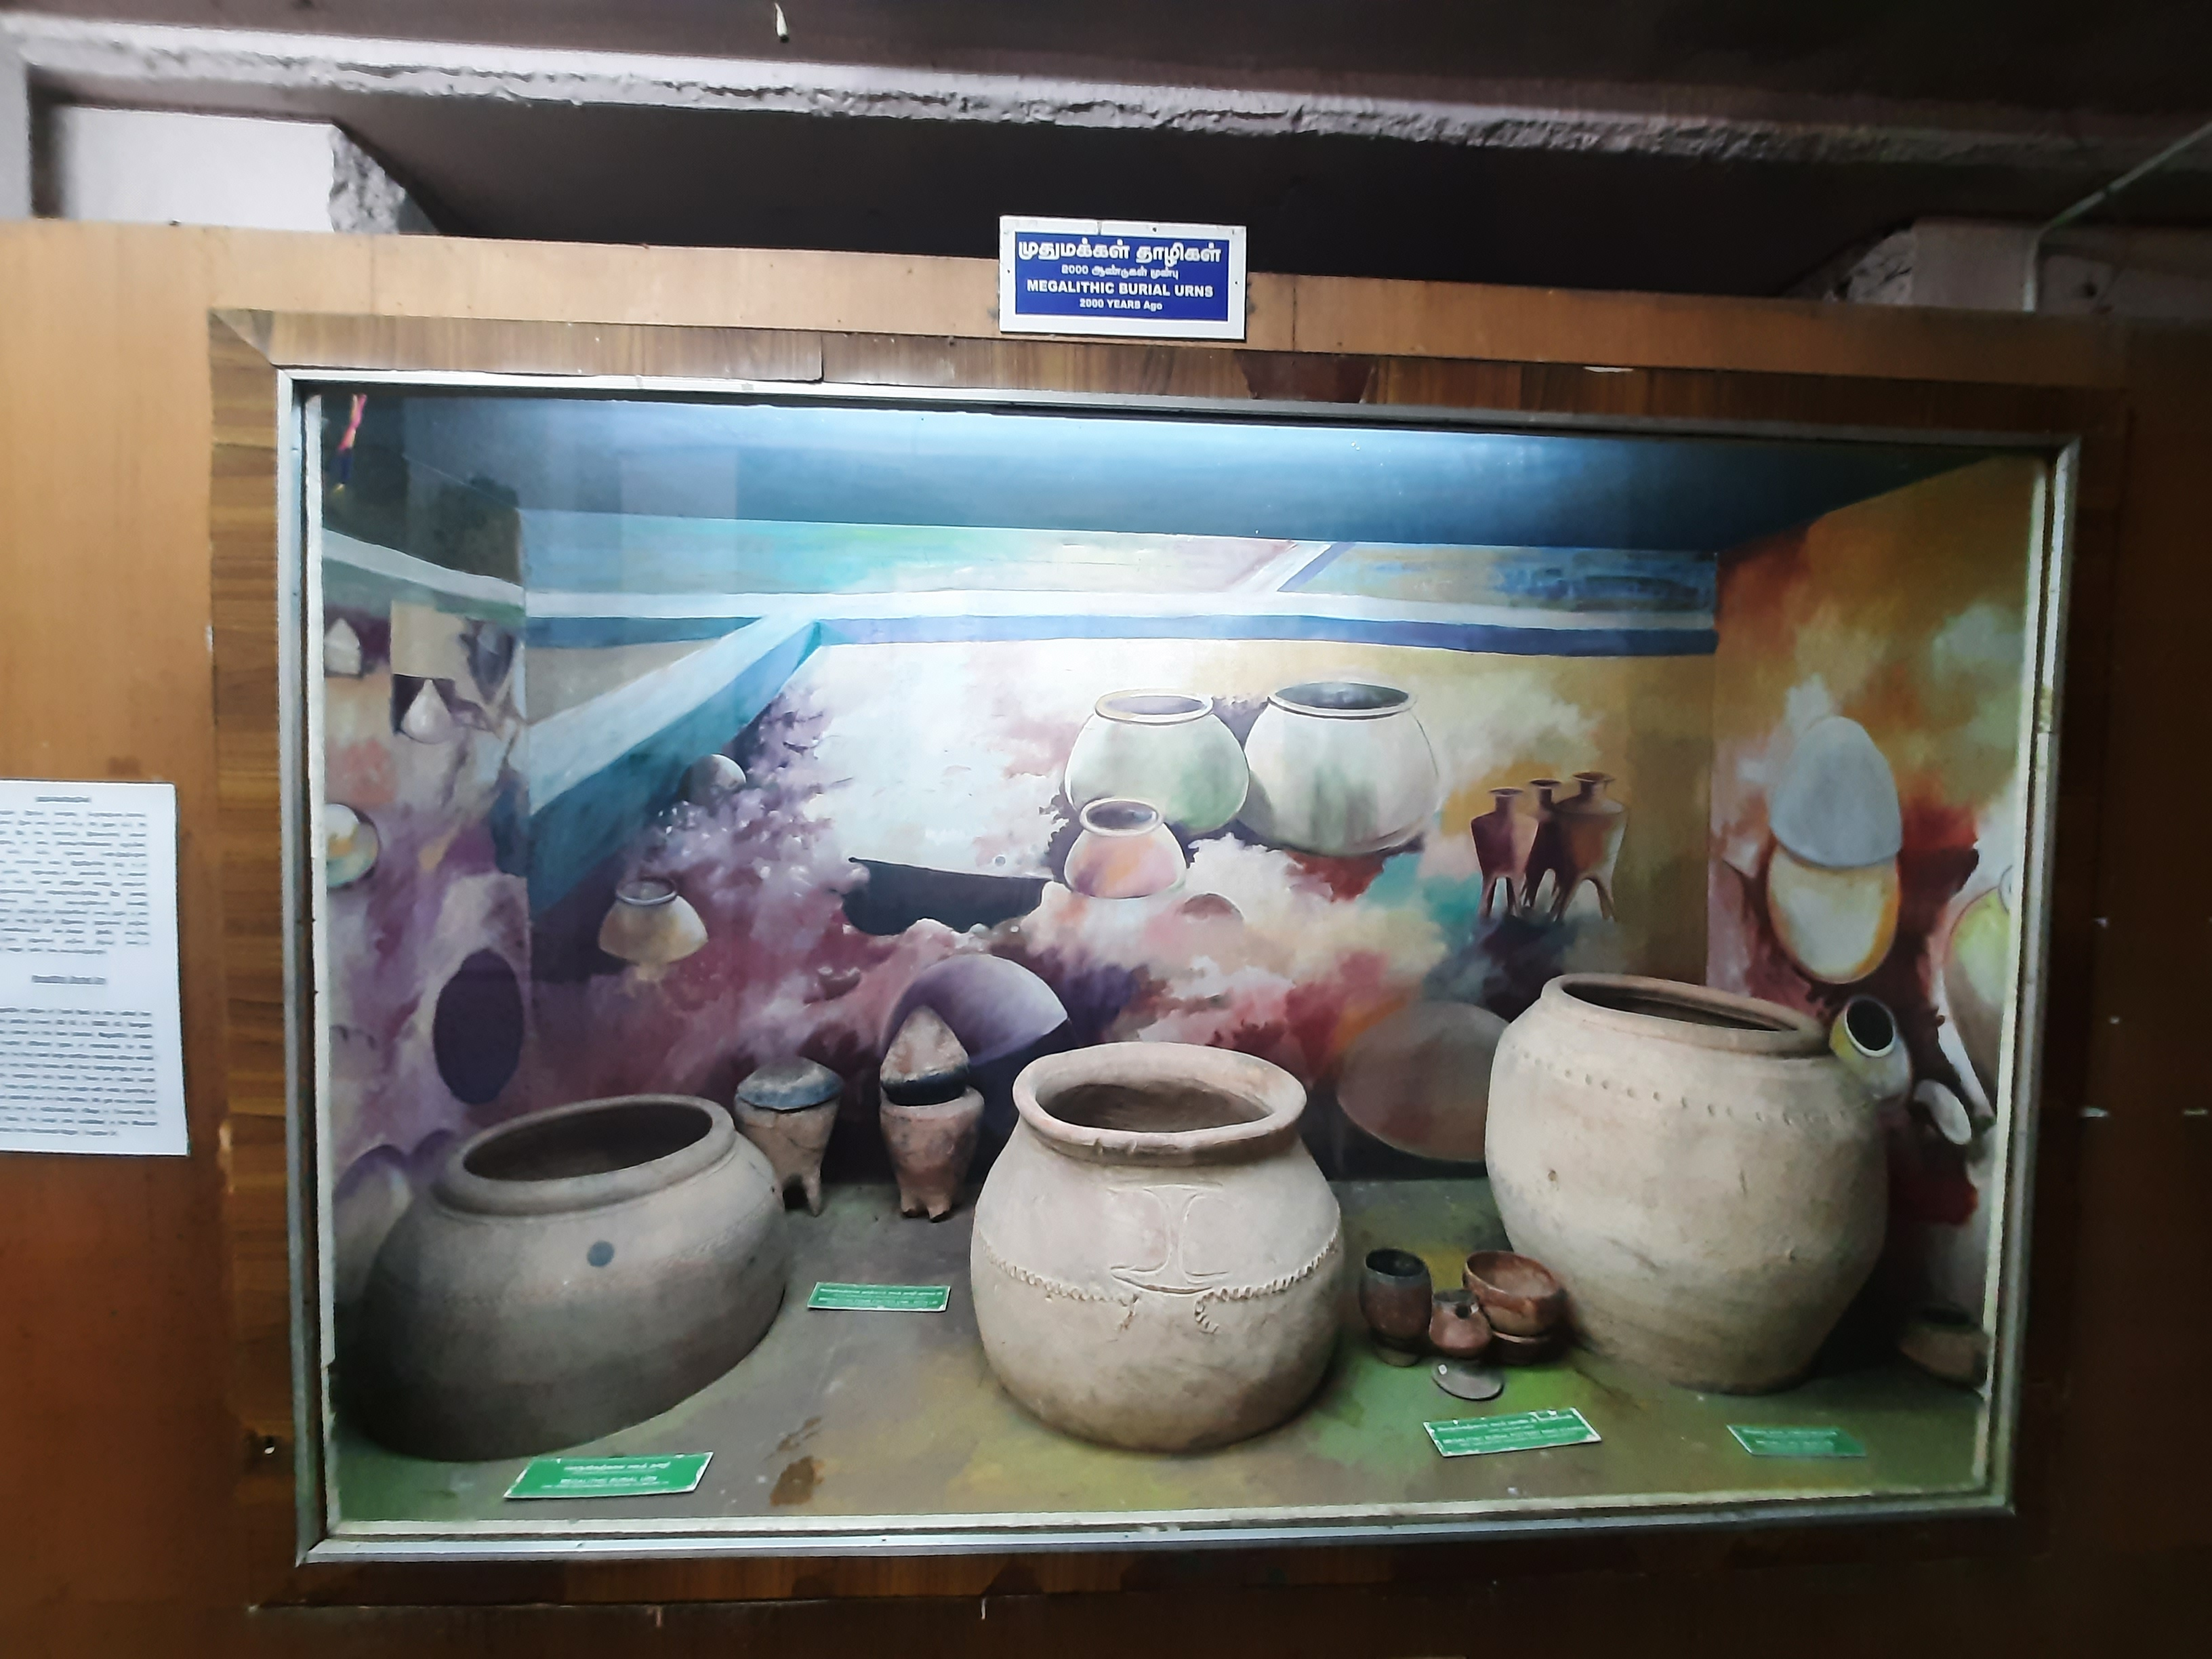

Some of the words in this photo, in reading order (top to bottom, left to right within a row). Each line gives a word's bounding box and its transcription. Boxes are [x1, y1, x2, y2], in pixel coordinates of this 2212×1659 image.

[1015, 235, 1134, 264] முதுமக்கள்
[1136, 239, 1224, 269] தாழிகள்
[1058, 262, 1090, 279] ௨௦௦௦
[1088, 260, 1150, 281] ஆண்டுகள்
[1147, 262, 1184, 284] முன்பு
[1024, 276, 1118, 298] MEGALITHIC
[1115, 279, 1173, 301] BURIAL
[1172, 281, 1218, 301] URNS
[1077, 293, 1108, 312] 2000
[1105, 297, 1143, 312] YEARS
[1141, 298, 1166, 314] Ago